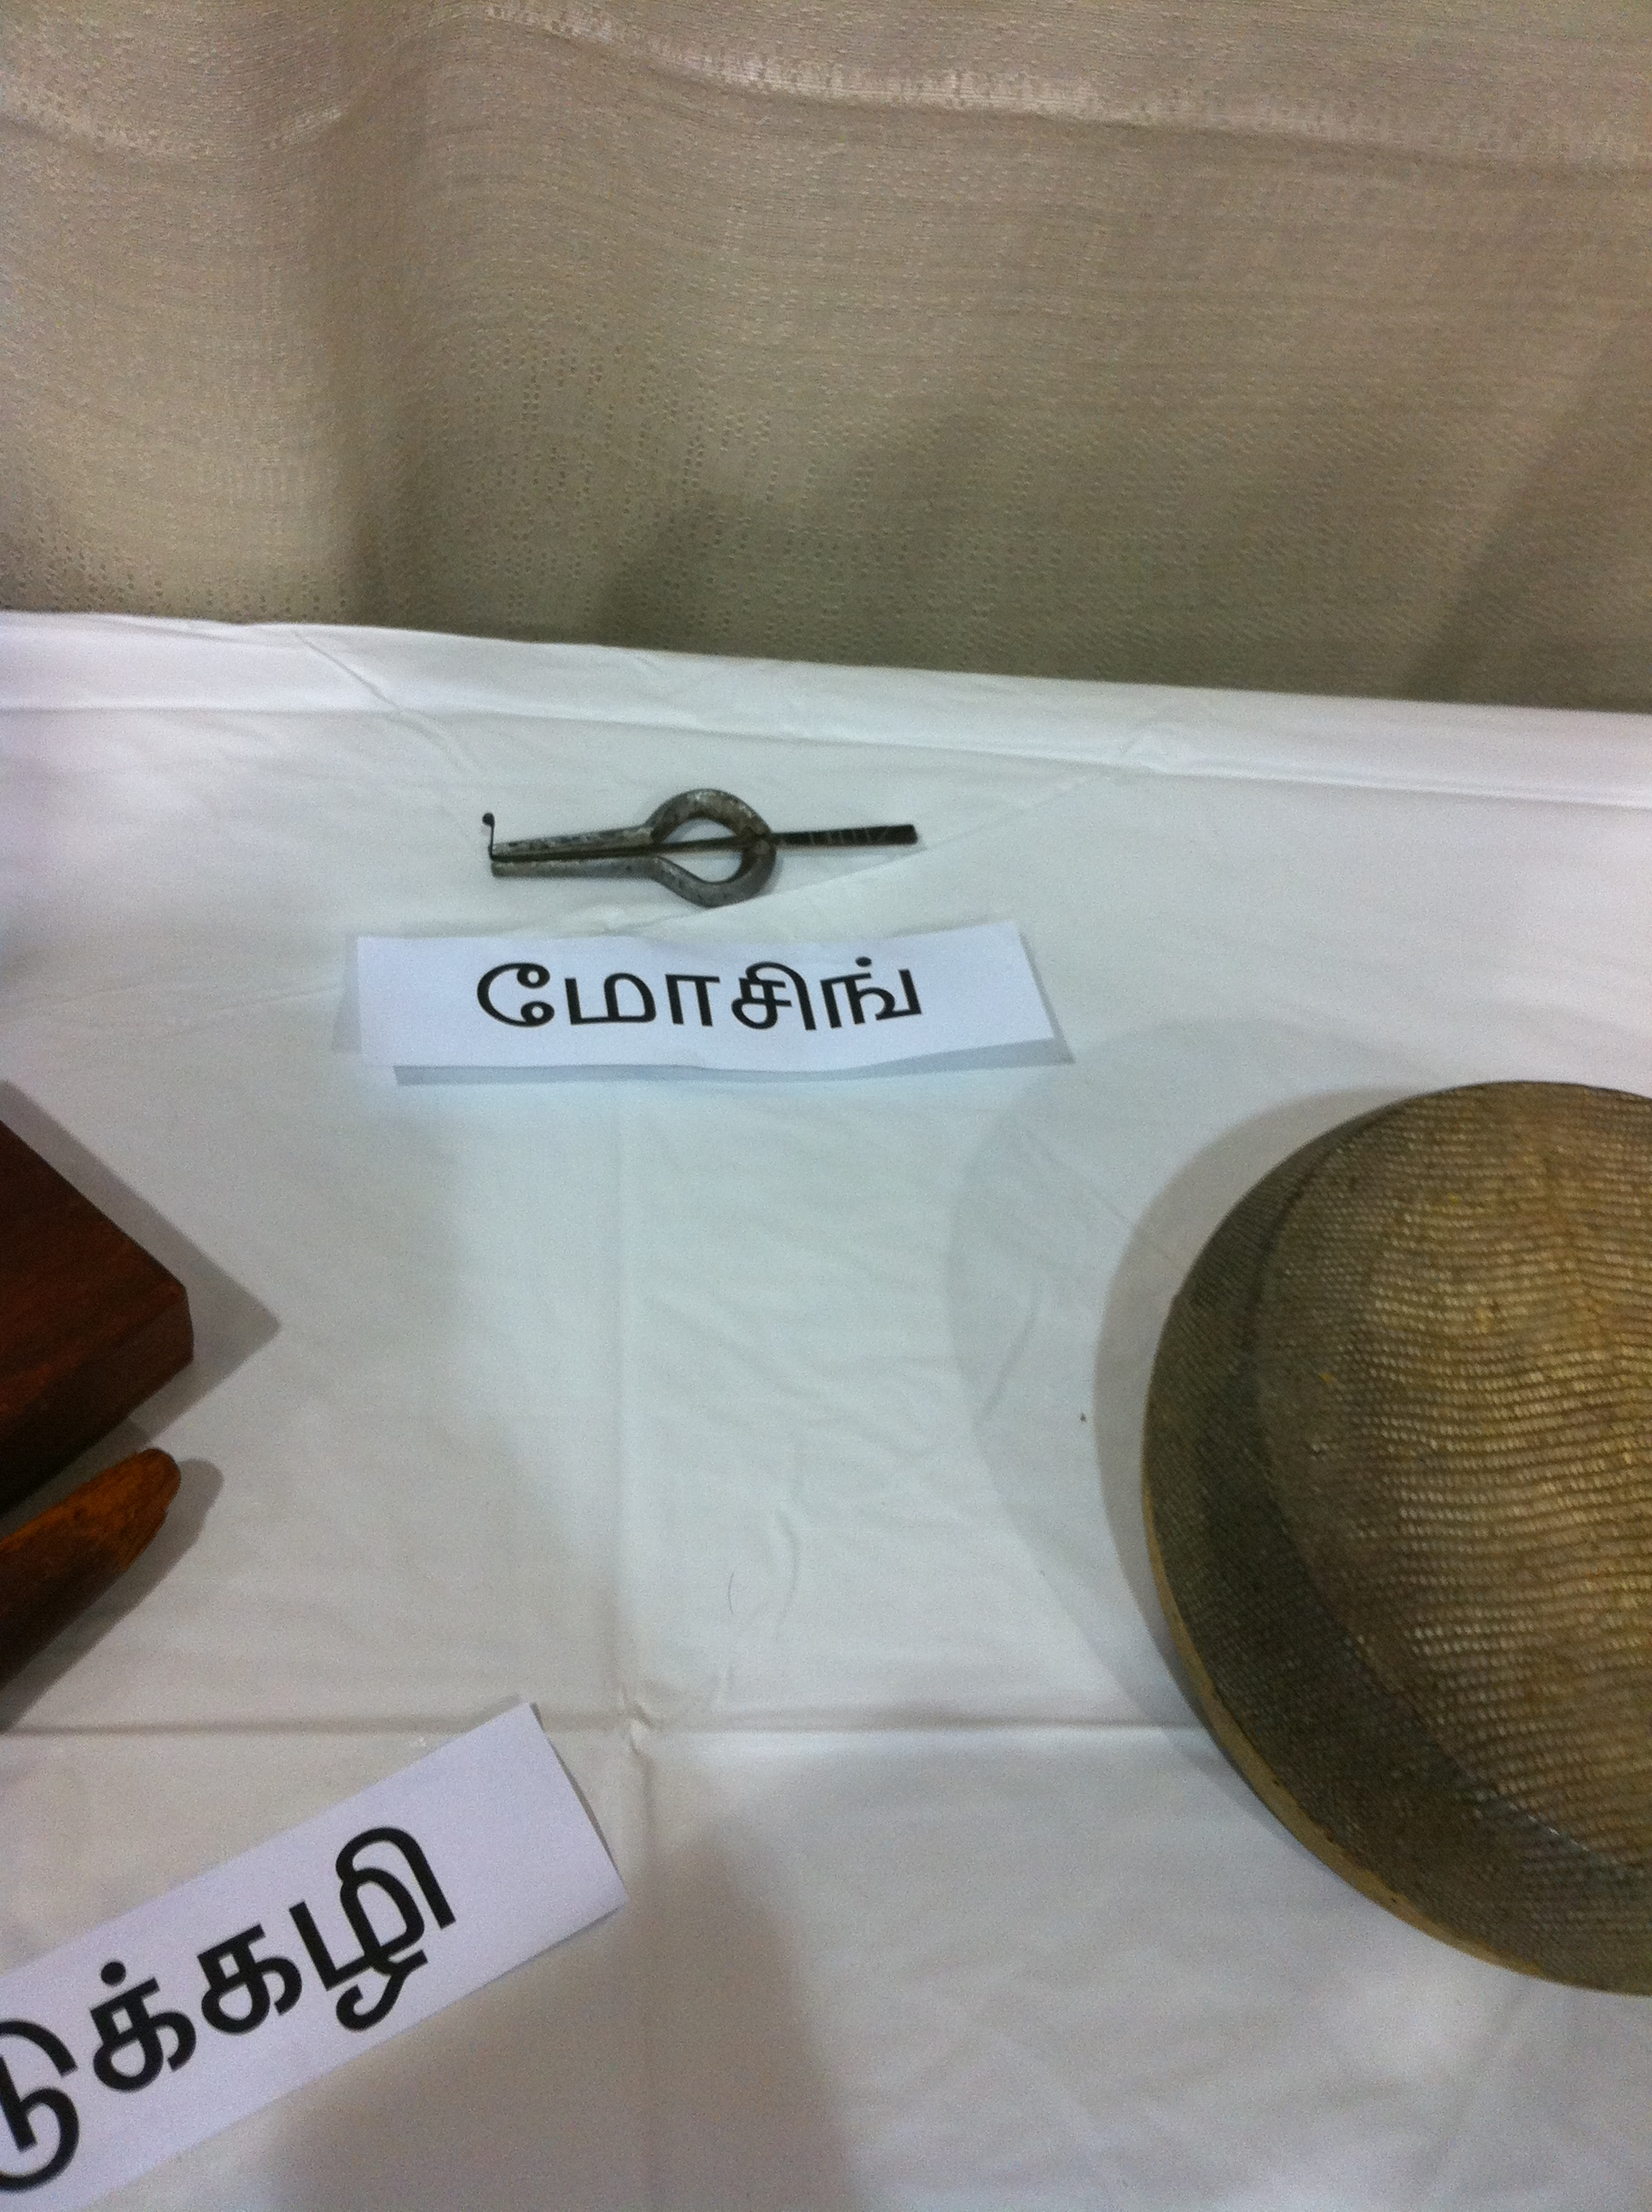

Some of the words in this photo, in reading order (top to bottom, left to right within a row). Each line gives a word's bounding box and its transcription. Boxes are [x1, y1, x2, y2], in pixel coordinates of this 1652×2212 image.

[472, 948, 929, 1036] மோசிங்
[3, 1813, 467, 2201] டுக்கழி